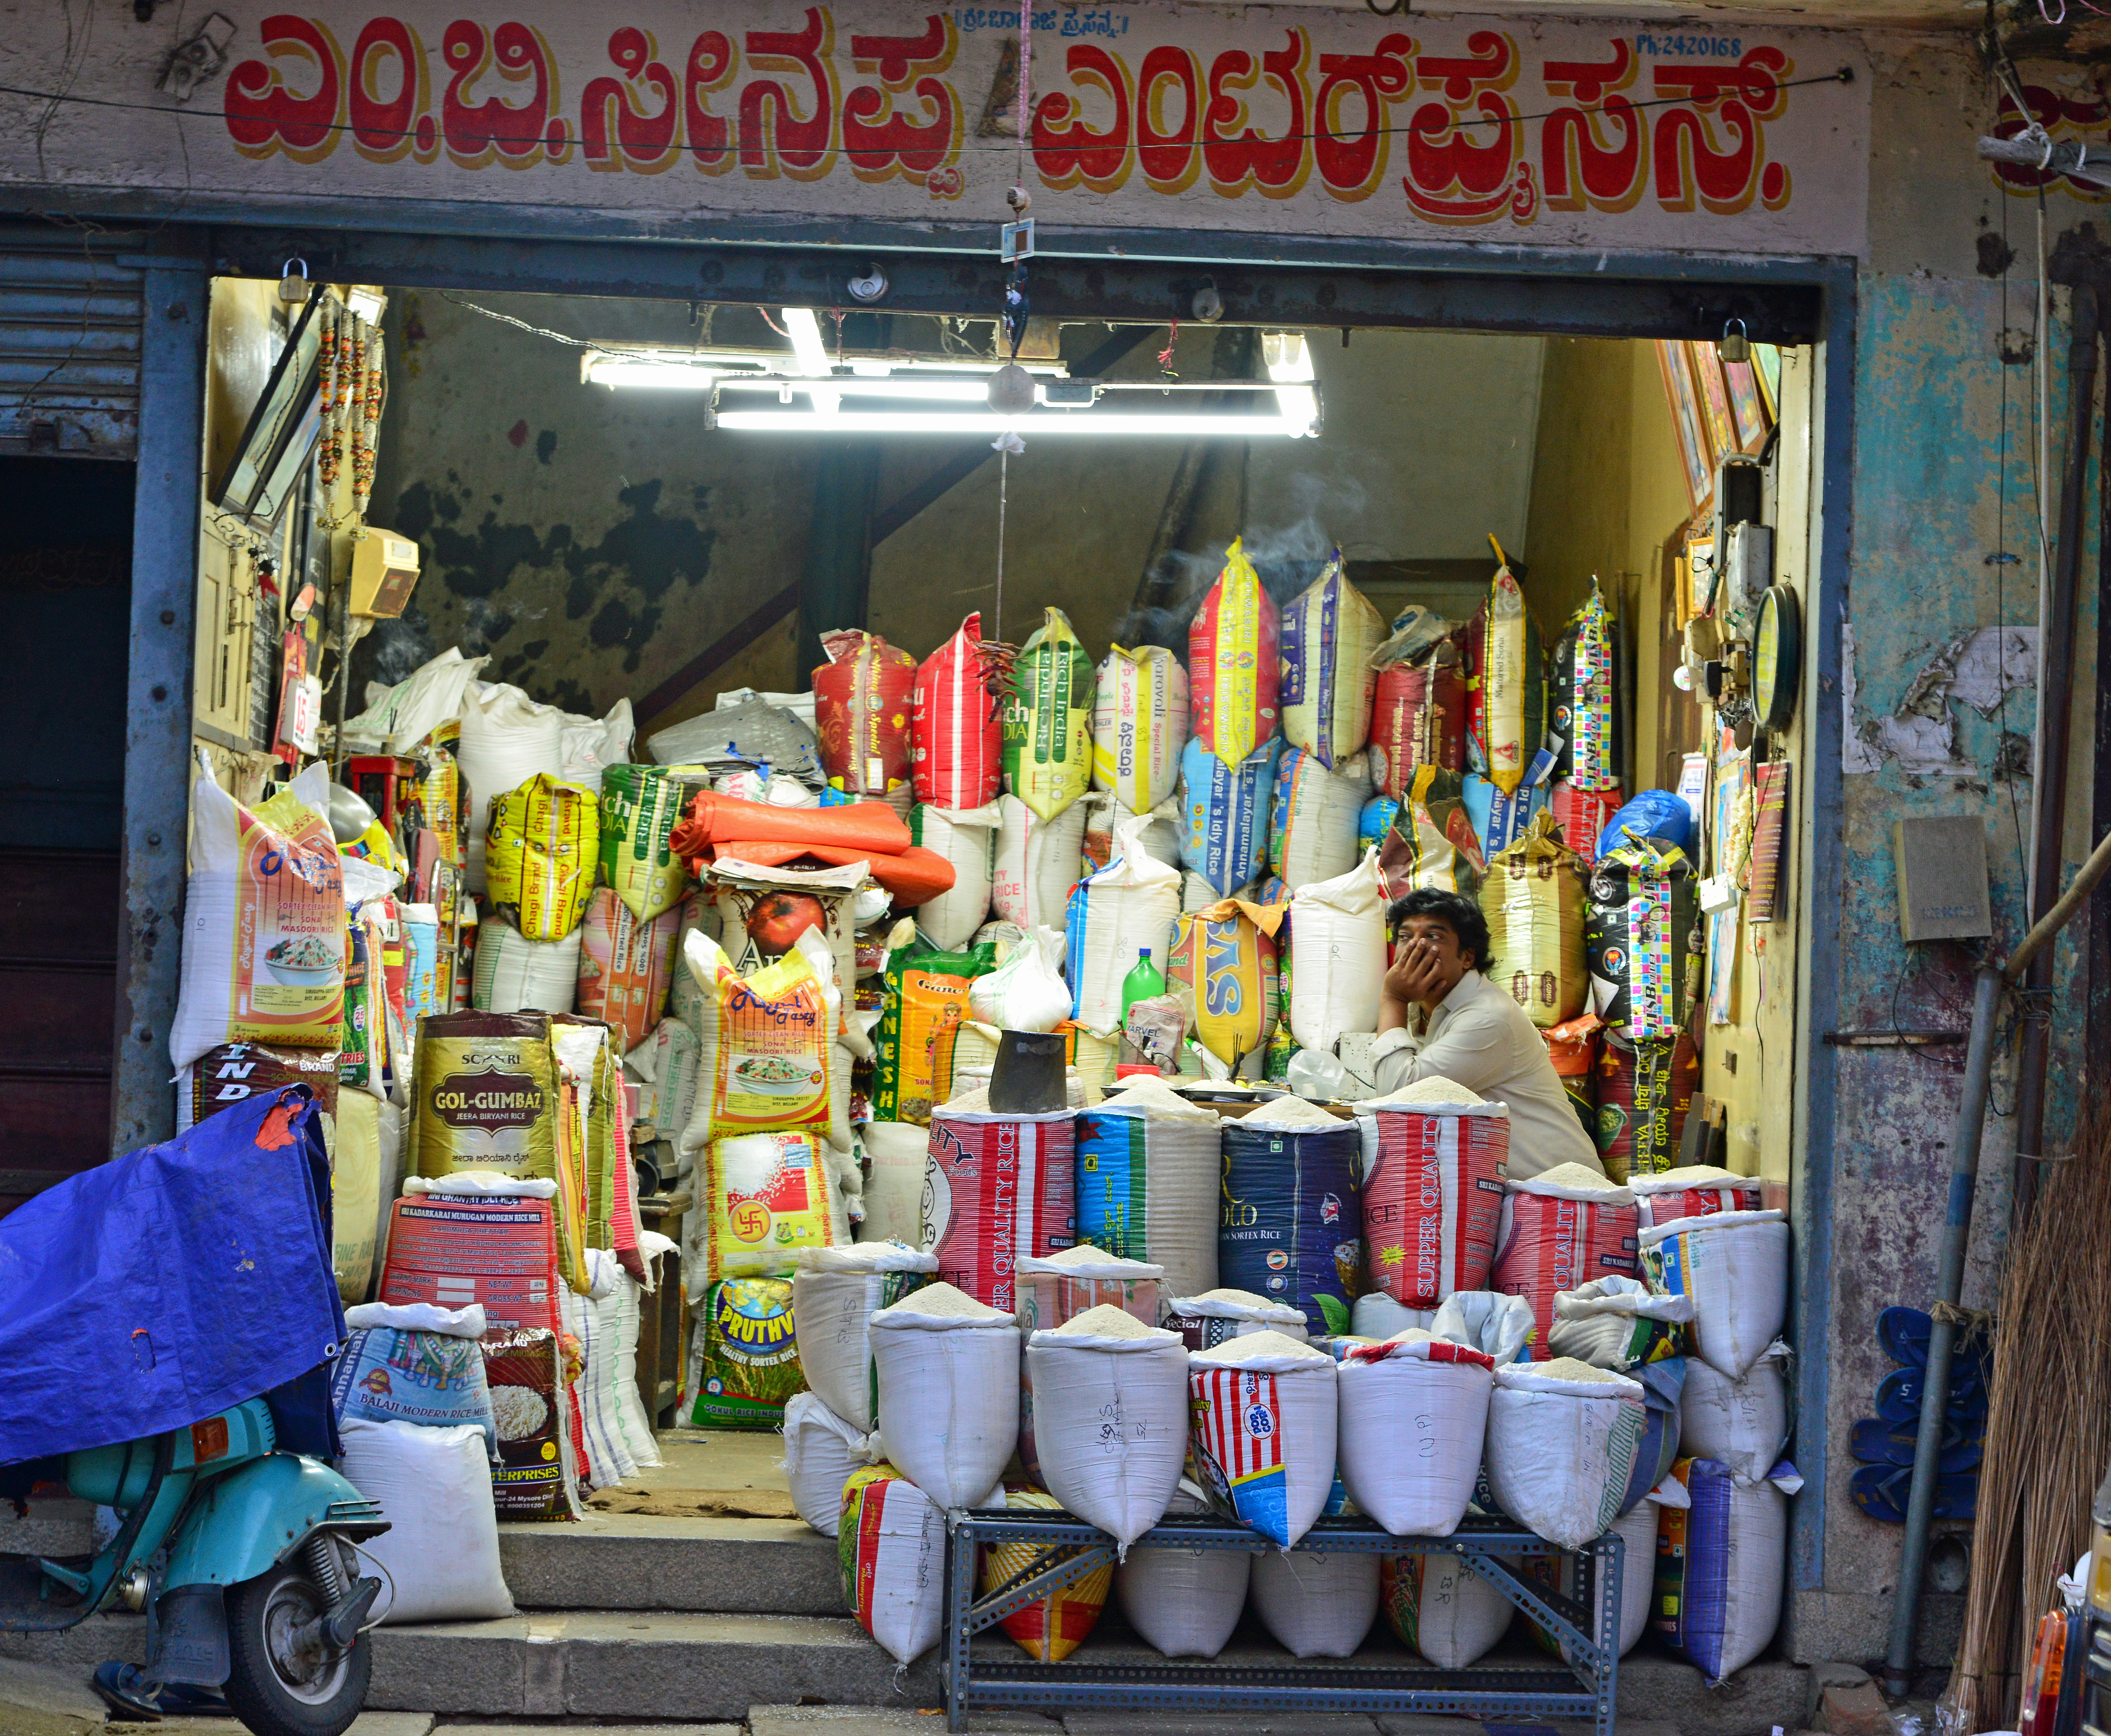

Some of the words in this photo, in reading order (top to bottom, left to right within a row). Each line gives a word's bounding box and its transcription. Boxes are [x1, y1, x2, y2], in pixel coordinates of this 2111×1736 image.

[957, 2, 1063, 39] ಶ್ರೀ ಬಾರಾಜ
[1054, 1, 1133, 42] ಪ್ರಸನ್ನ:I
[1632, 29, 1748, 63] Ph:2420168
[219, 9, 578, 170] ಎಂ.ಬಿ.
[574, 1, 972, 203] ಸೀನಪ್ಪ
[1019, 21, 1794, 227] ಎಂಟರ್‌ಪ್ರೆಸಸ್.
[429, 1084, 549, 1113] GOL-GUMBAZ
[452, 1108, 480, 1124] JEERA
[474, 1109, 512, 1124] BIRYANI
[505, 1110, 528, 1121] RICE
[993, 1117, 1019, 1176] RICE
[447, 1150, 476, 1167] ಜೀರಾ
[471, 1150, 513, 1168] ಬಿರಿಯಾನಿ
[509, 1151, 532, 1169] ರೈಸ್
[1418, 1112, 1447, 1215] QUALITY
[397, 1205, 451, 1221] SRIKADARKARAI
[448, 1209, 488, 1223] MURUGAN
[482, 1212, 516, 1223] MODERN
[512, 1210, 529, 1224] RICE
[524, 1212, 543, 1226] MILL
[987, 1172, 1018, 1277] QUALITY
[1414, 1210, 1439, 1305] SUPPER
[382, 1284, 413, 1297] SHIPPING
[409, 1286, 425, 1302] NO
[410, 1274, 434, 1289] MARK
[484, 1292, 512, 1304] GROSS
[484, 1277, 513, 1289] NETWT
[511, 1292, 524, 1304] WT